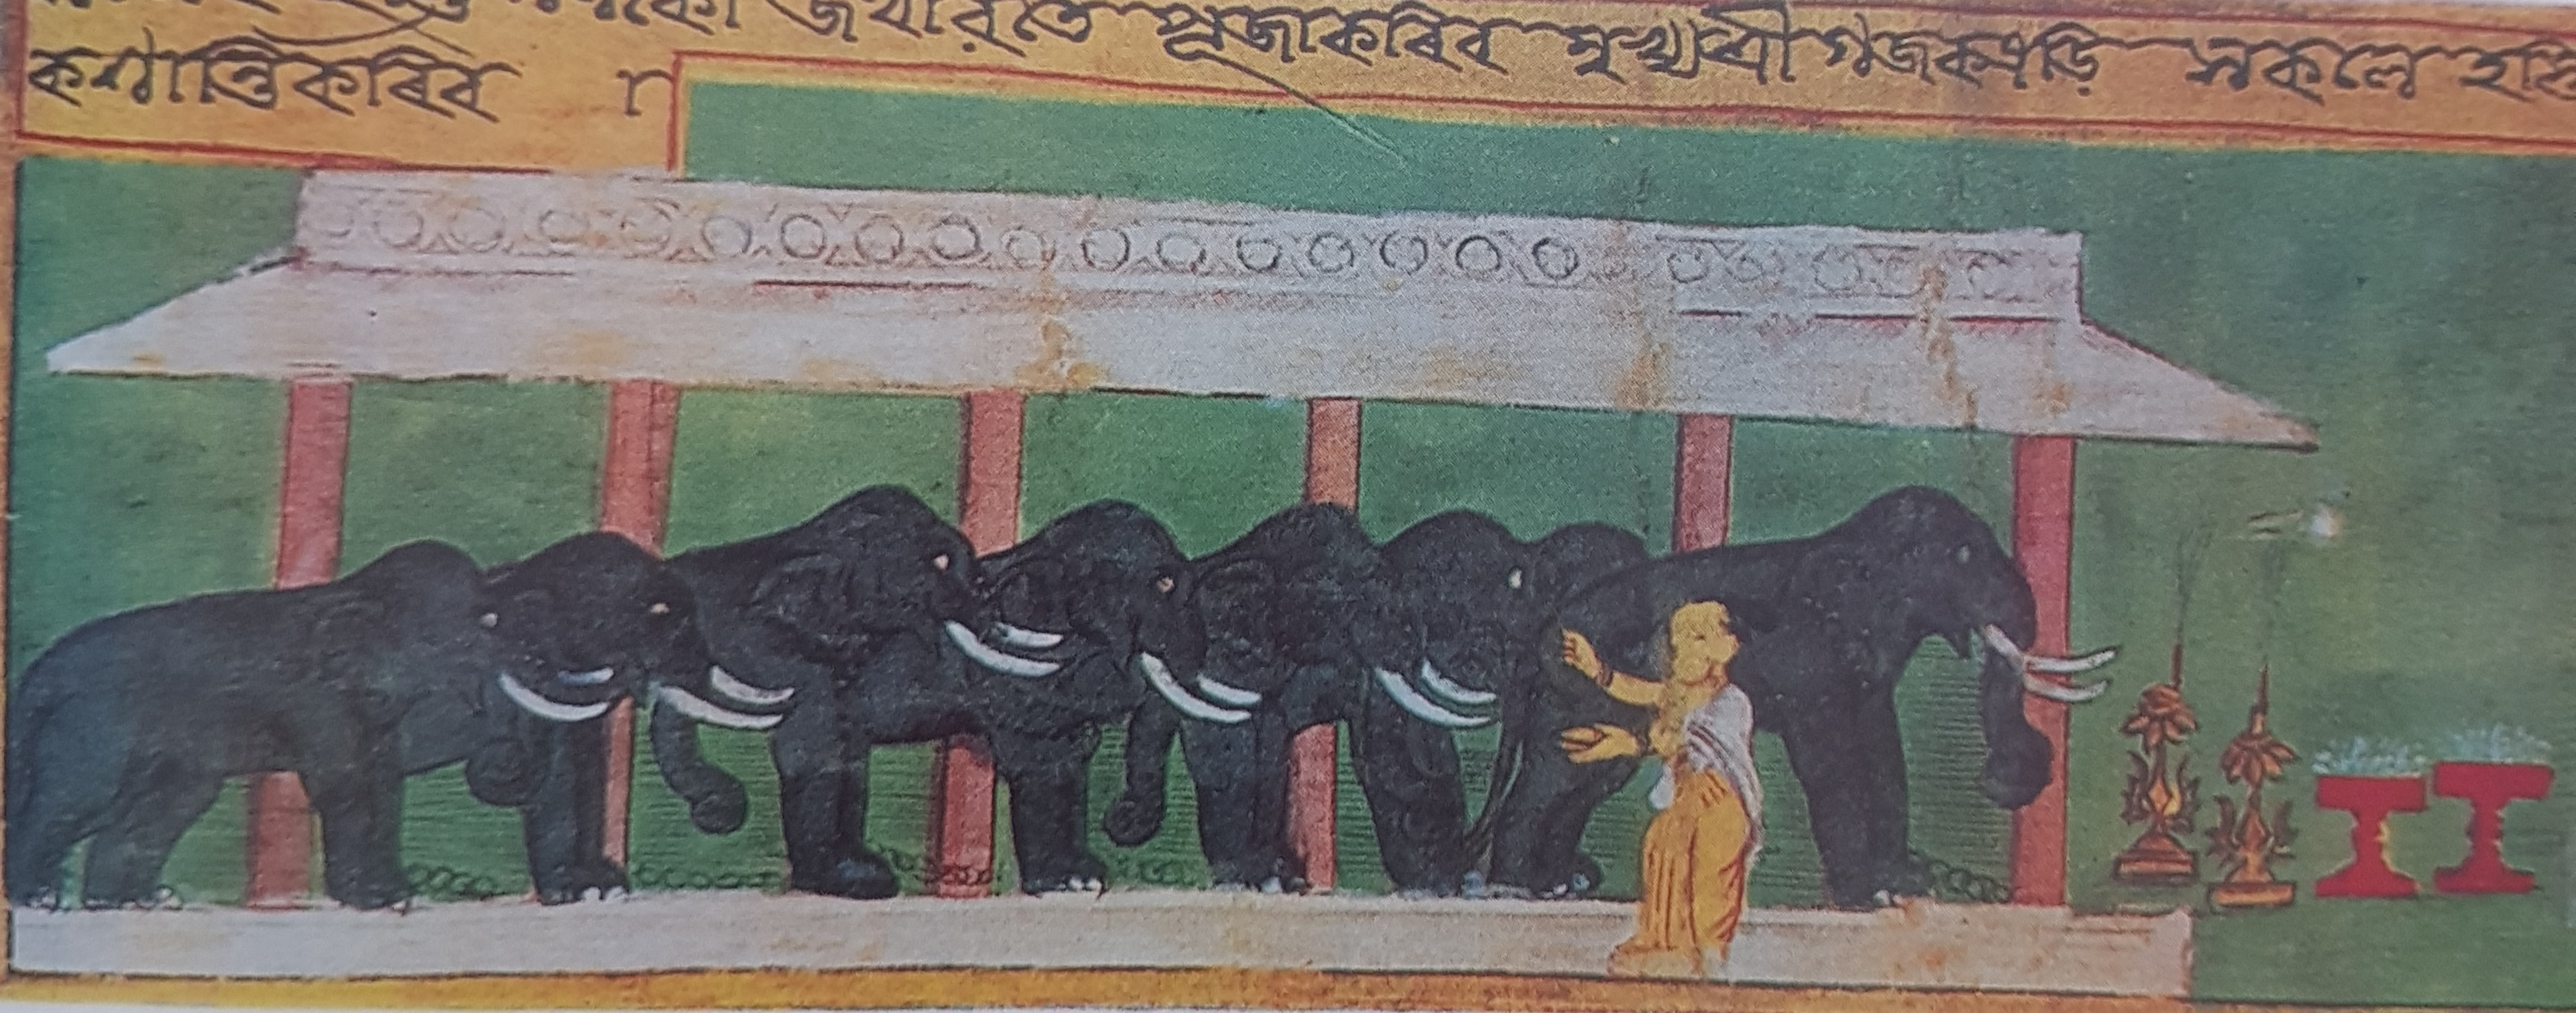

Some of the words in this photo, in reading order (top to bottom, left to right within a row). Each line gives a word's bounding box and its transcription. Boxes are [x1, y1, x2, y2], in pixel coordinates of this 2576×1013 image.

[1138, 0, 1533, 78] পুজাকৰিব
[2300, 754, 2554, 915] II